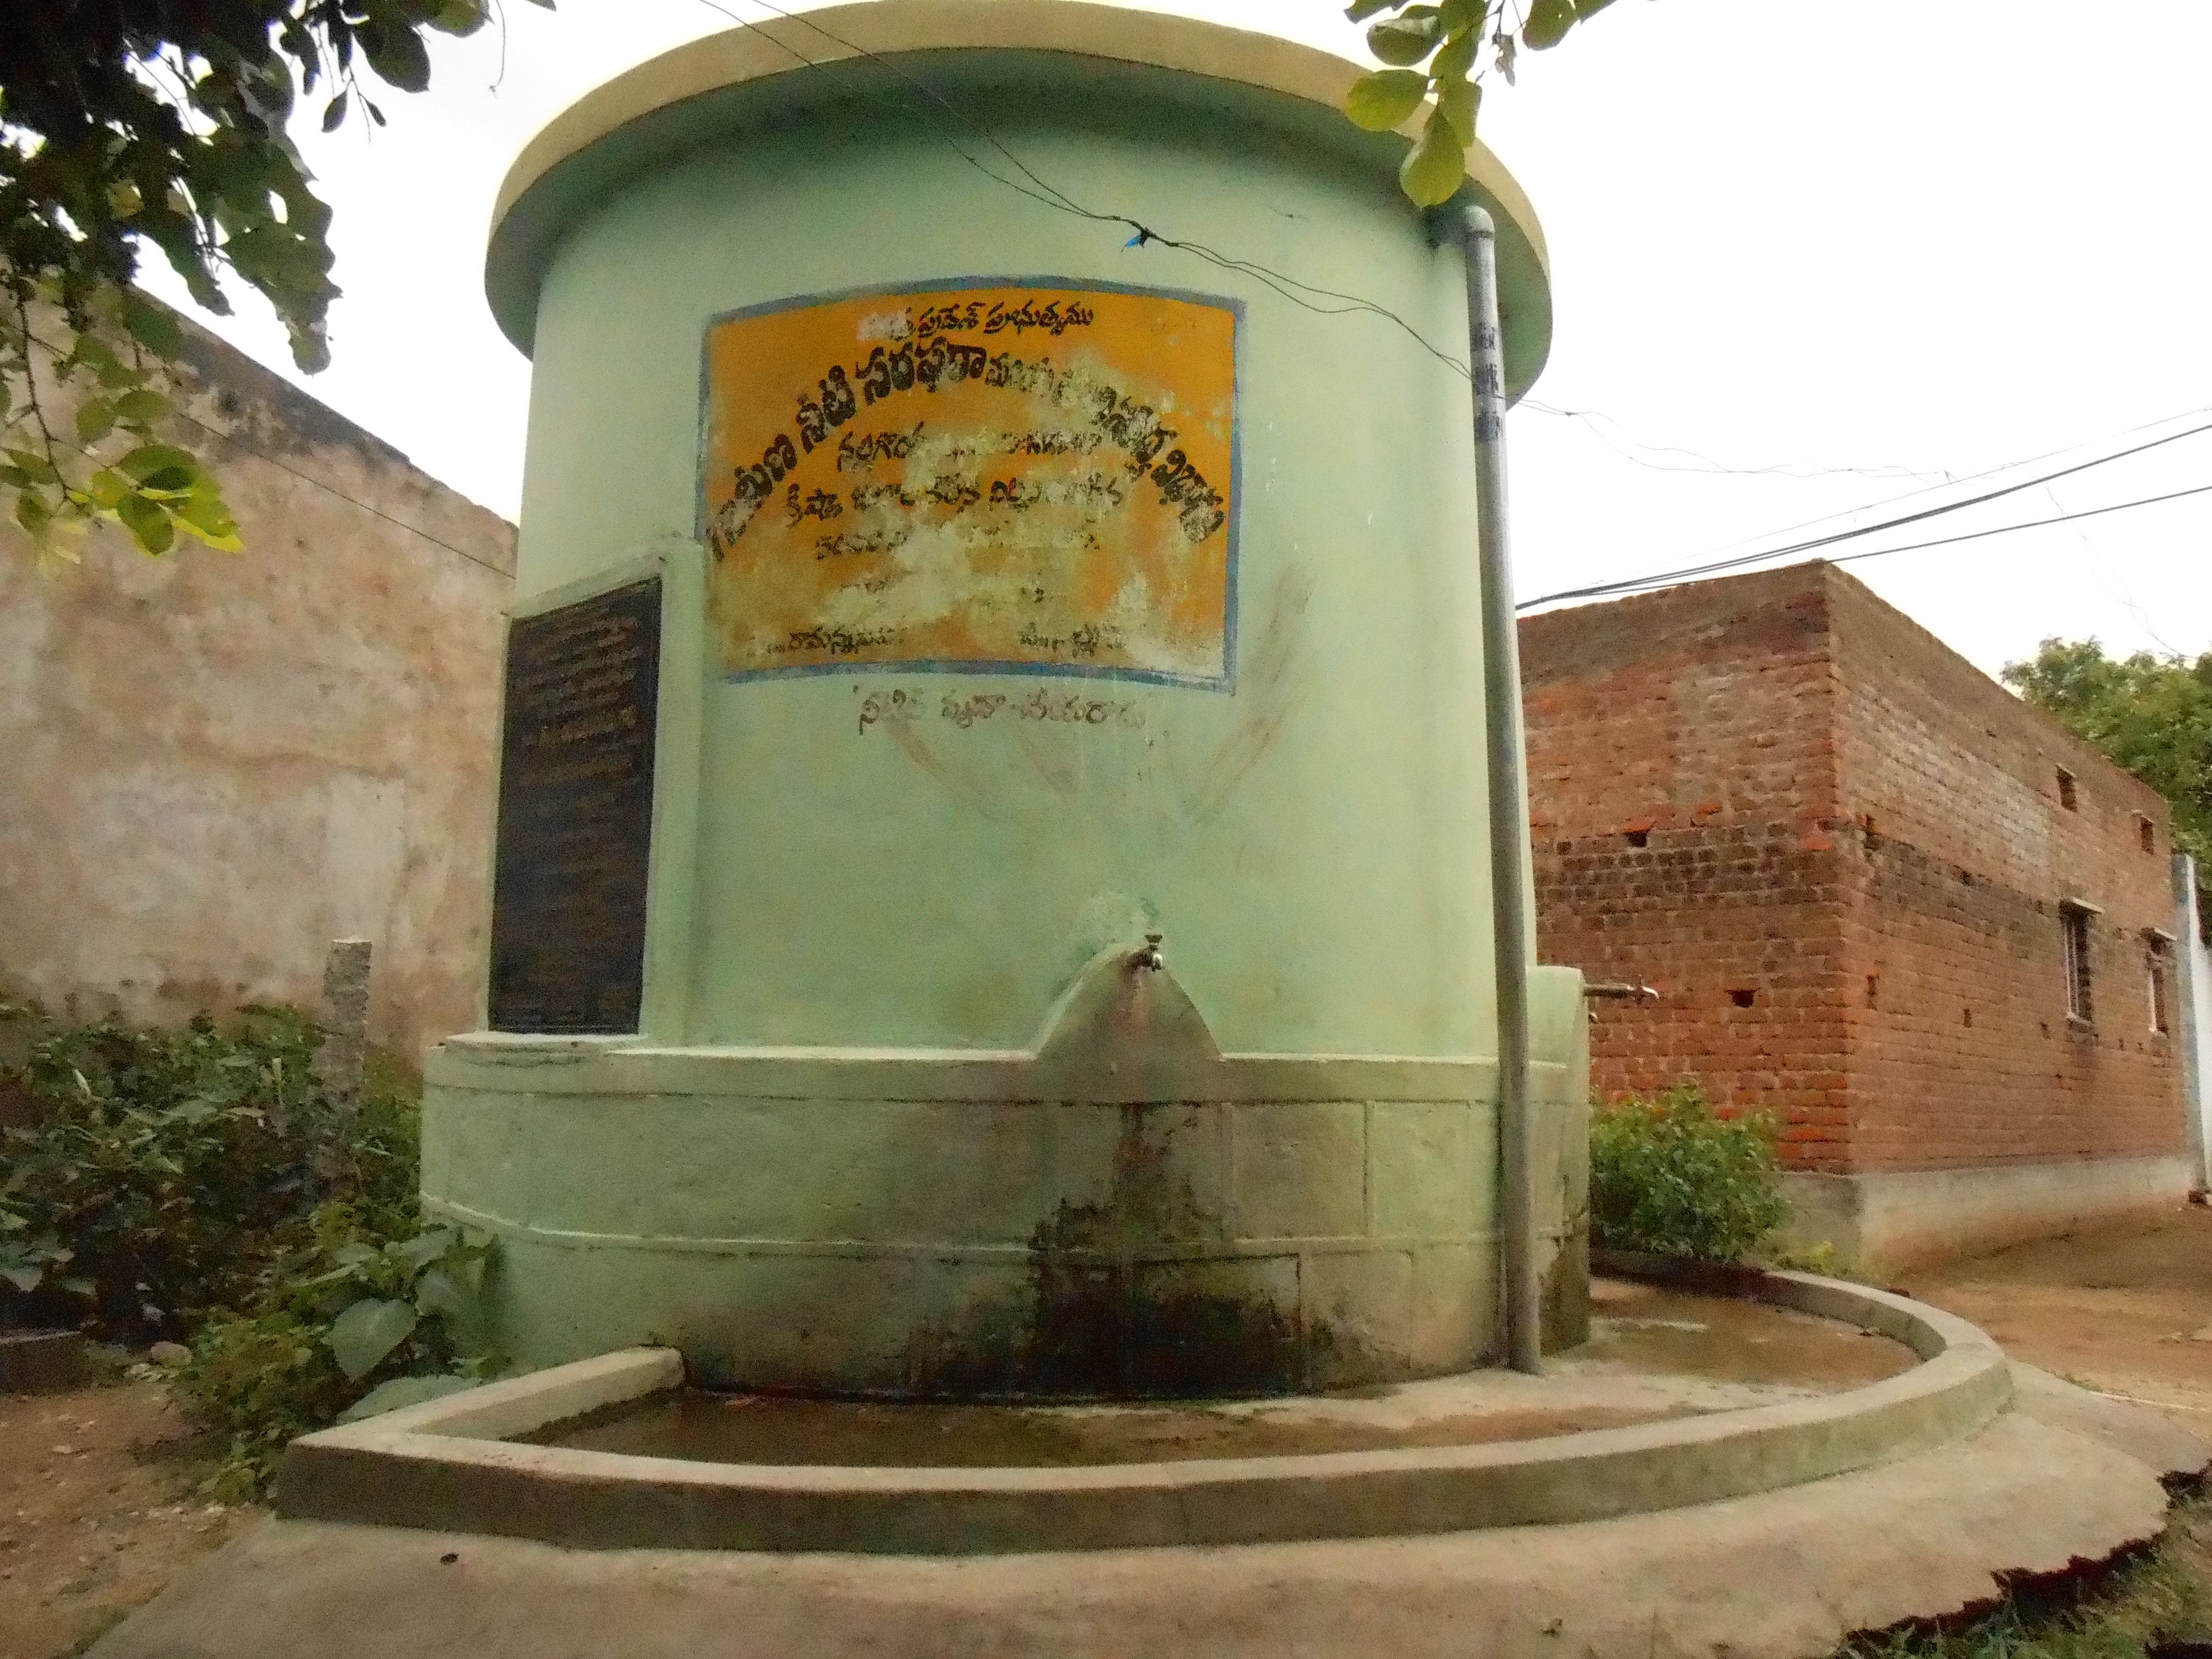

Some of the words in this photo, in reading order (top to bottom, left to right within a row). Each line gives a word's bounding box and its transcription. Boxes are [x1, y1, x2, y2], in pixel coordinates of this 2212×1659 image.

[892, 298, 989, 345] ప్రదేశ్
[784, 354, 864, 456] నీటి
[851, 331, 988, 408] సరఫరా
[696, 426, 803, 565] గామీణ
[1006, 685, 1158, 733] చేయరాదు